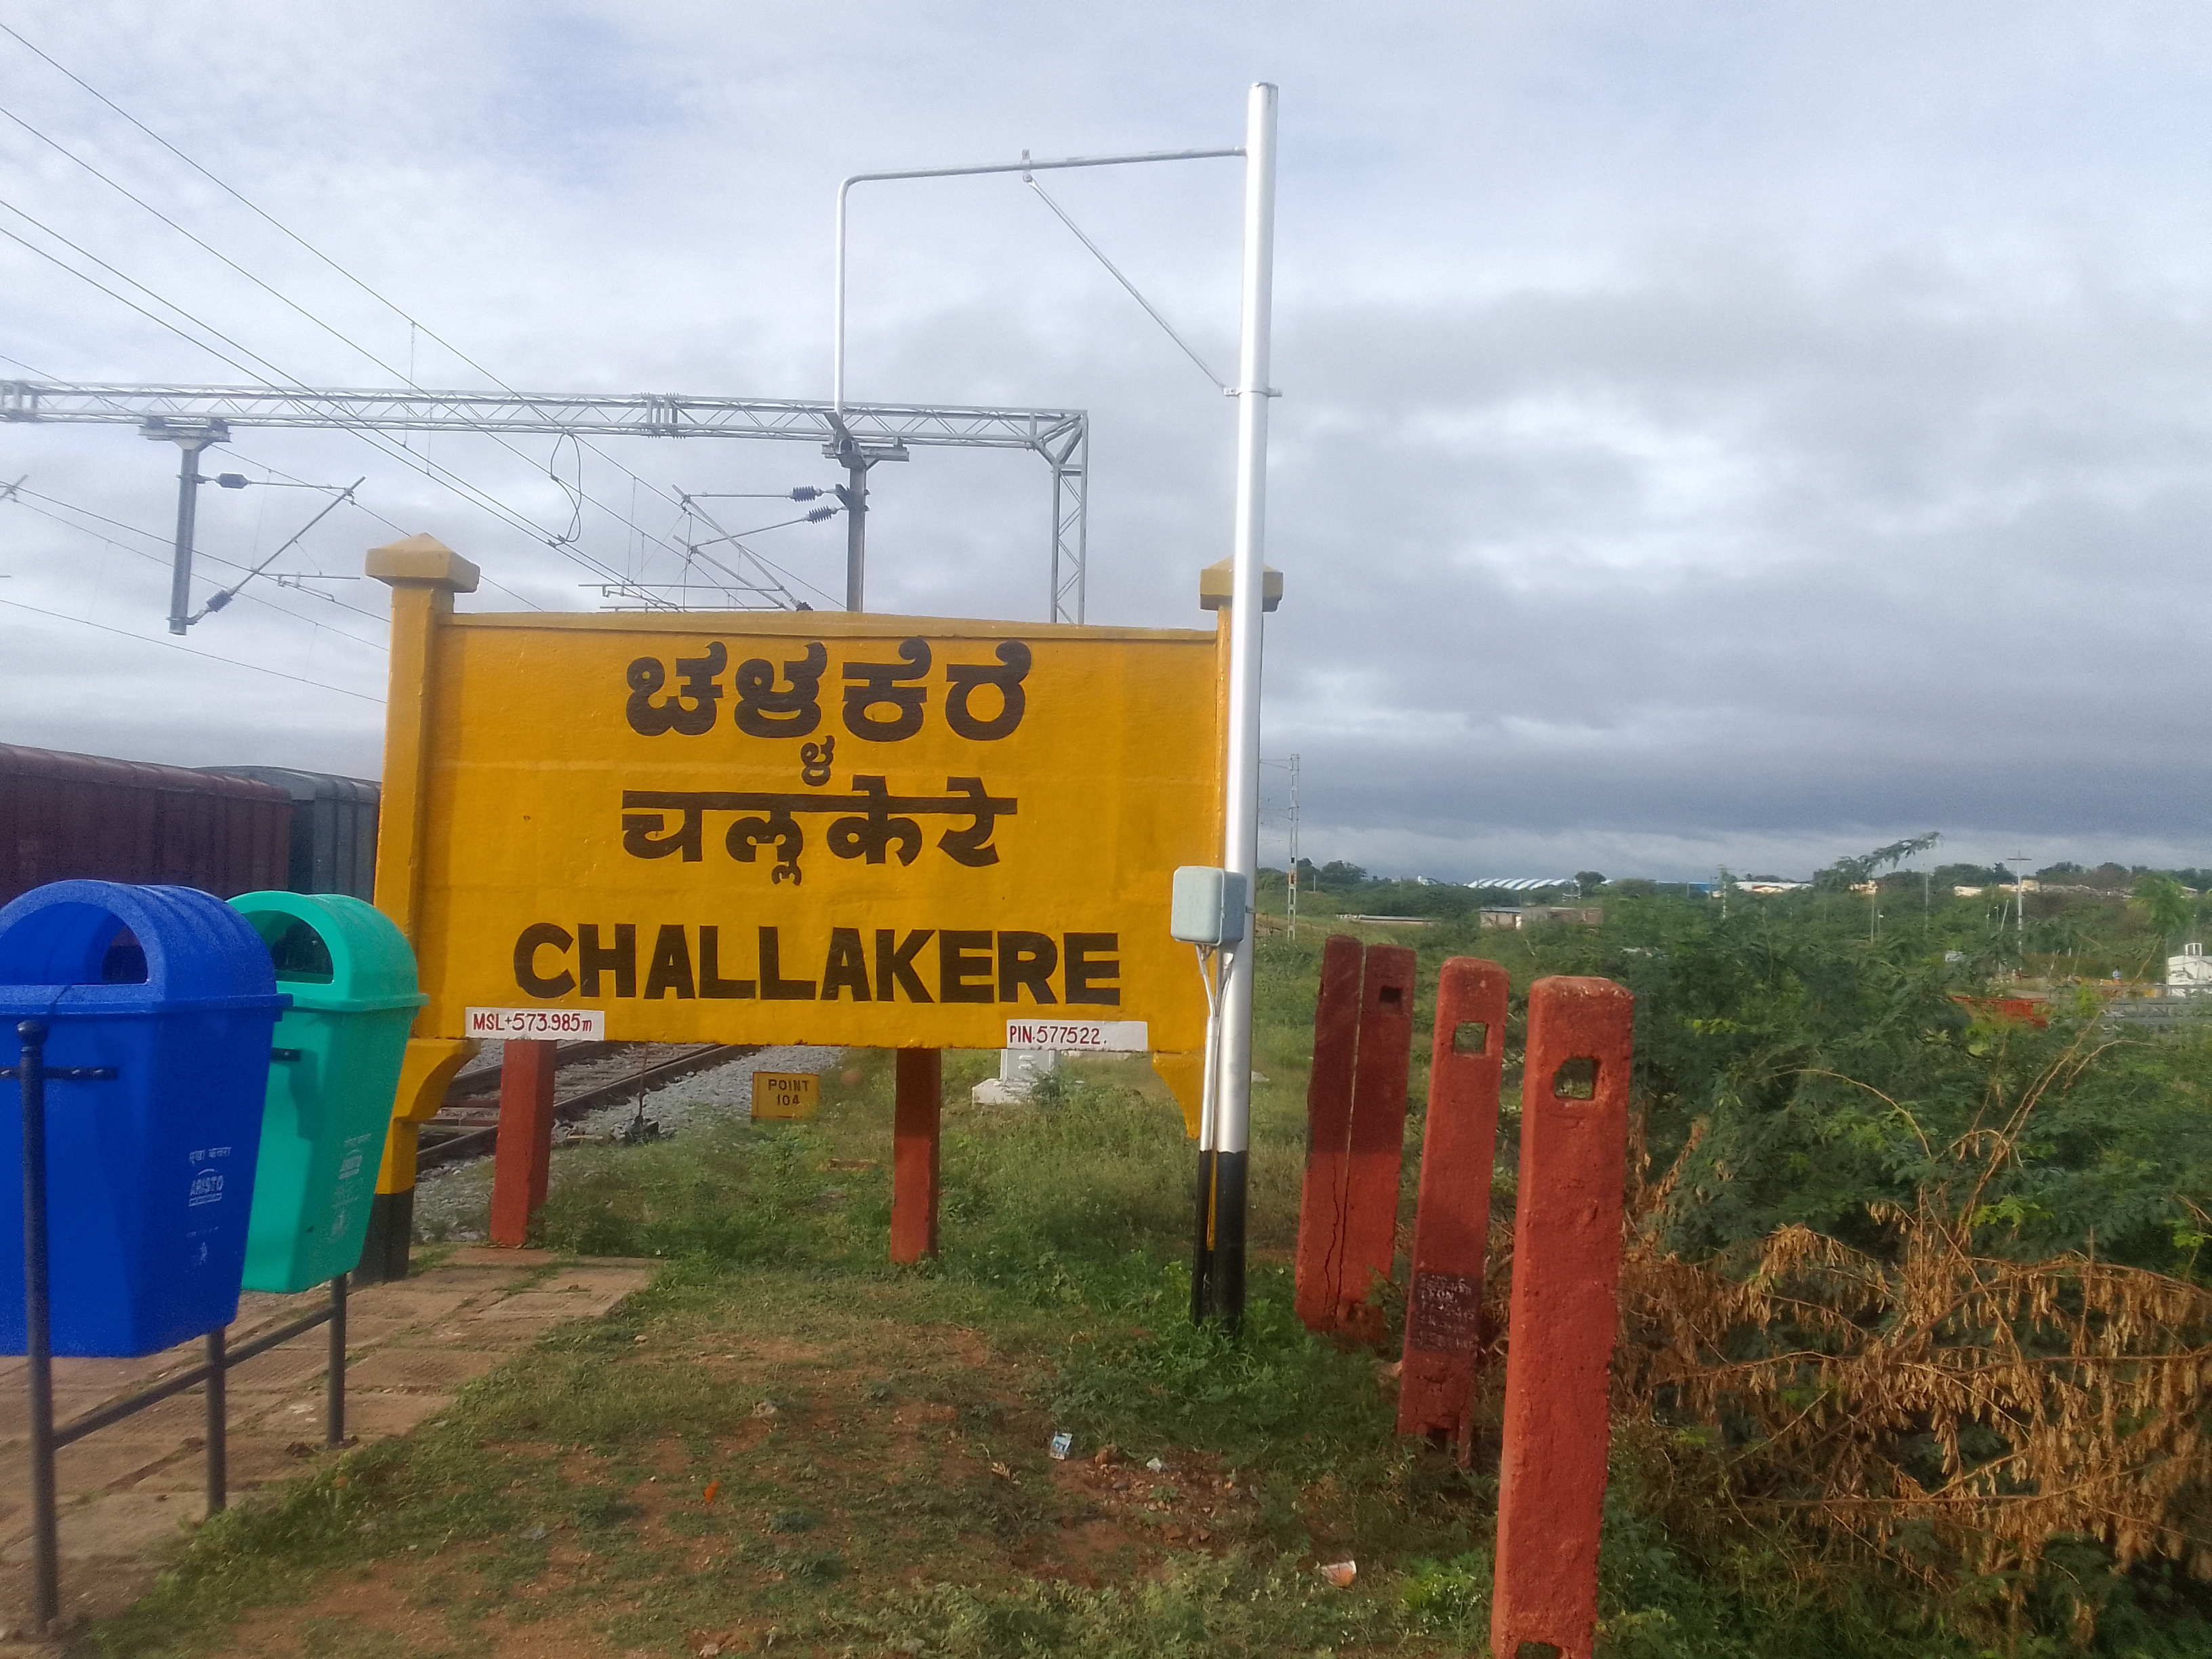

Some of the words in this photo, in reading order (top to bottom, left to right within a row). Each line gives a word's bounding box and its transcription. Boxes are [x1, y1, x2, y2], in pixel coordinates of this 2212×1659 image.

[621, 629, 1040, 787] ಚಳ್ಳಕೆರ
[614, 767, 1020, 890] चल्लकेरे
[506, 914, 1122, 1009] CHALLAKERE
[470, 1003, 594, 1036] MSL+573.985m
[1004, 1019, 1104, 1048] PIN-577522